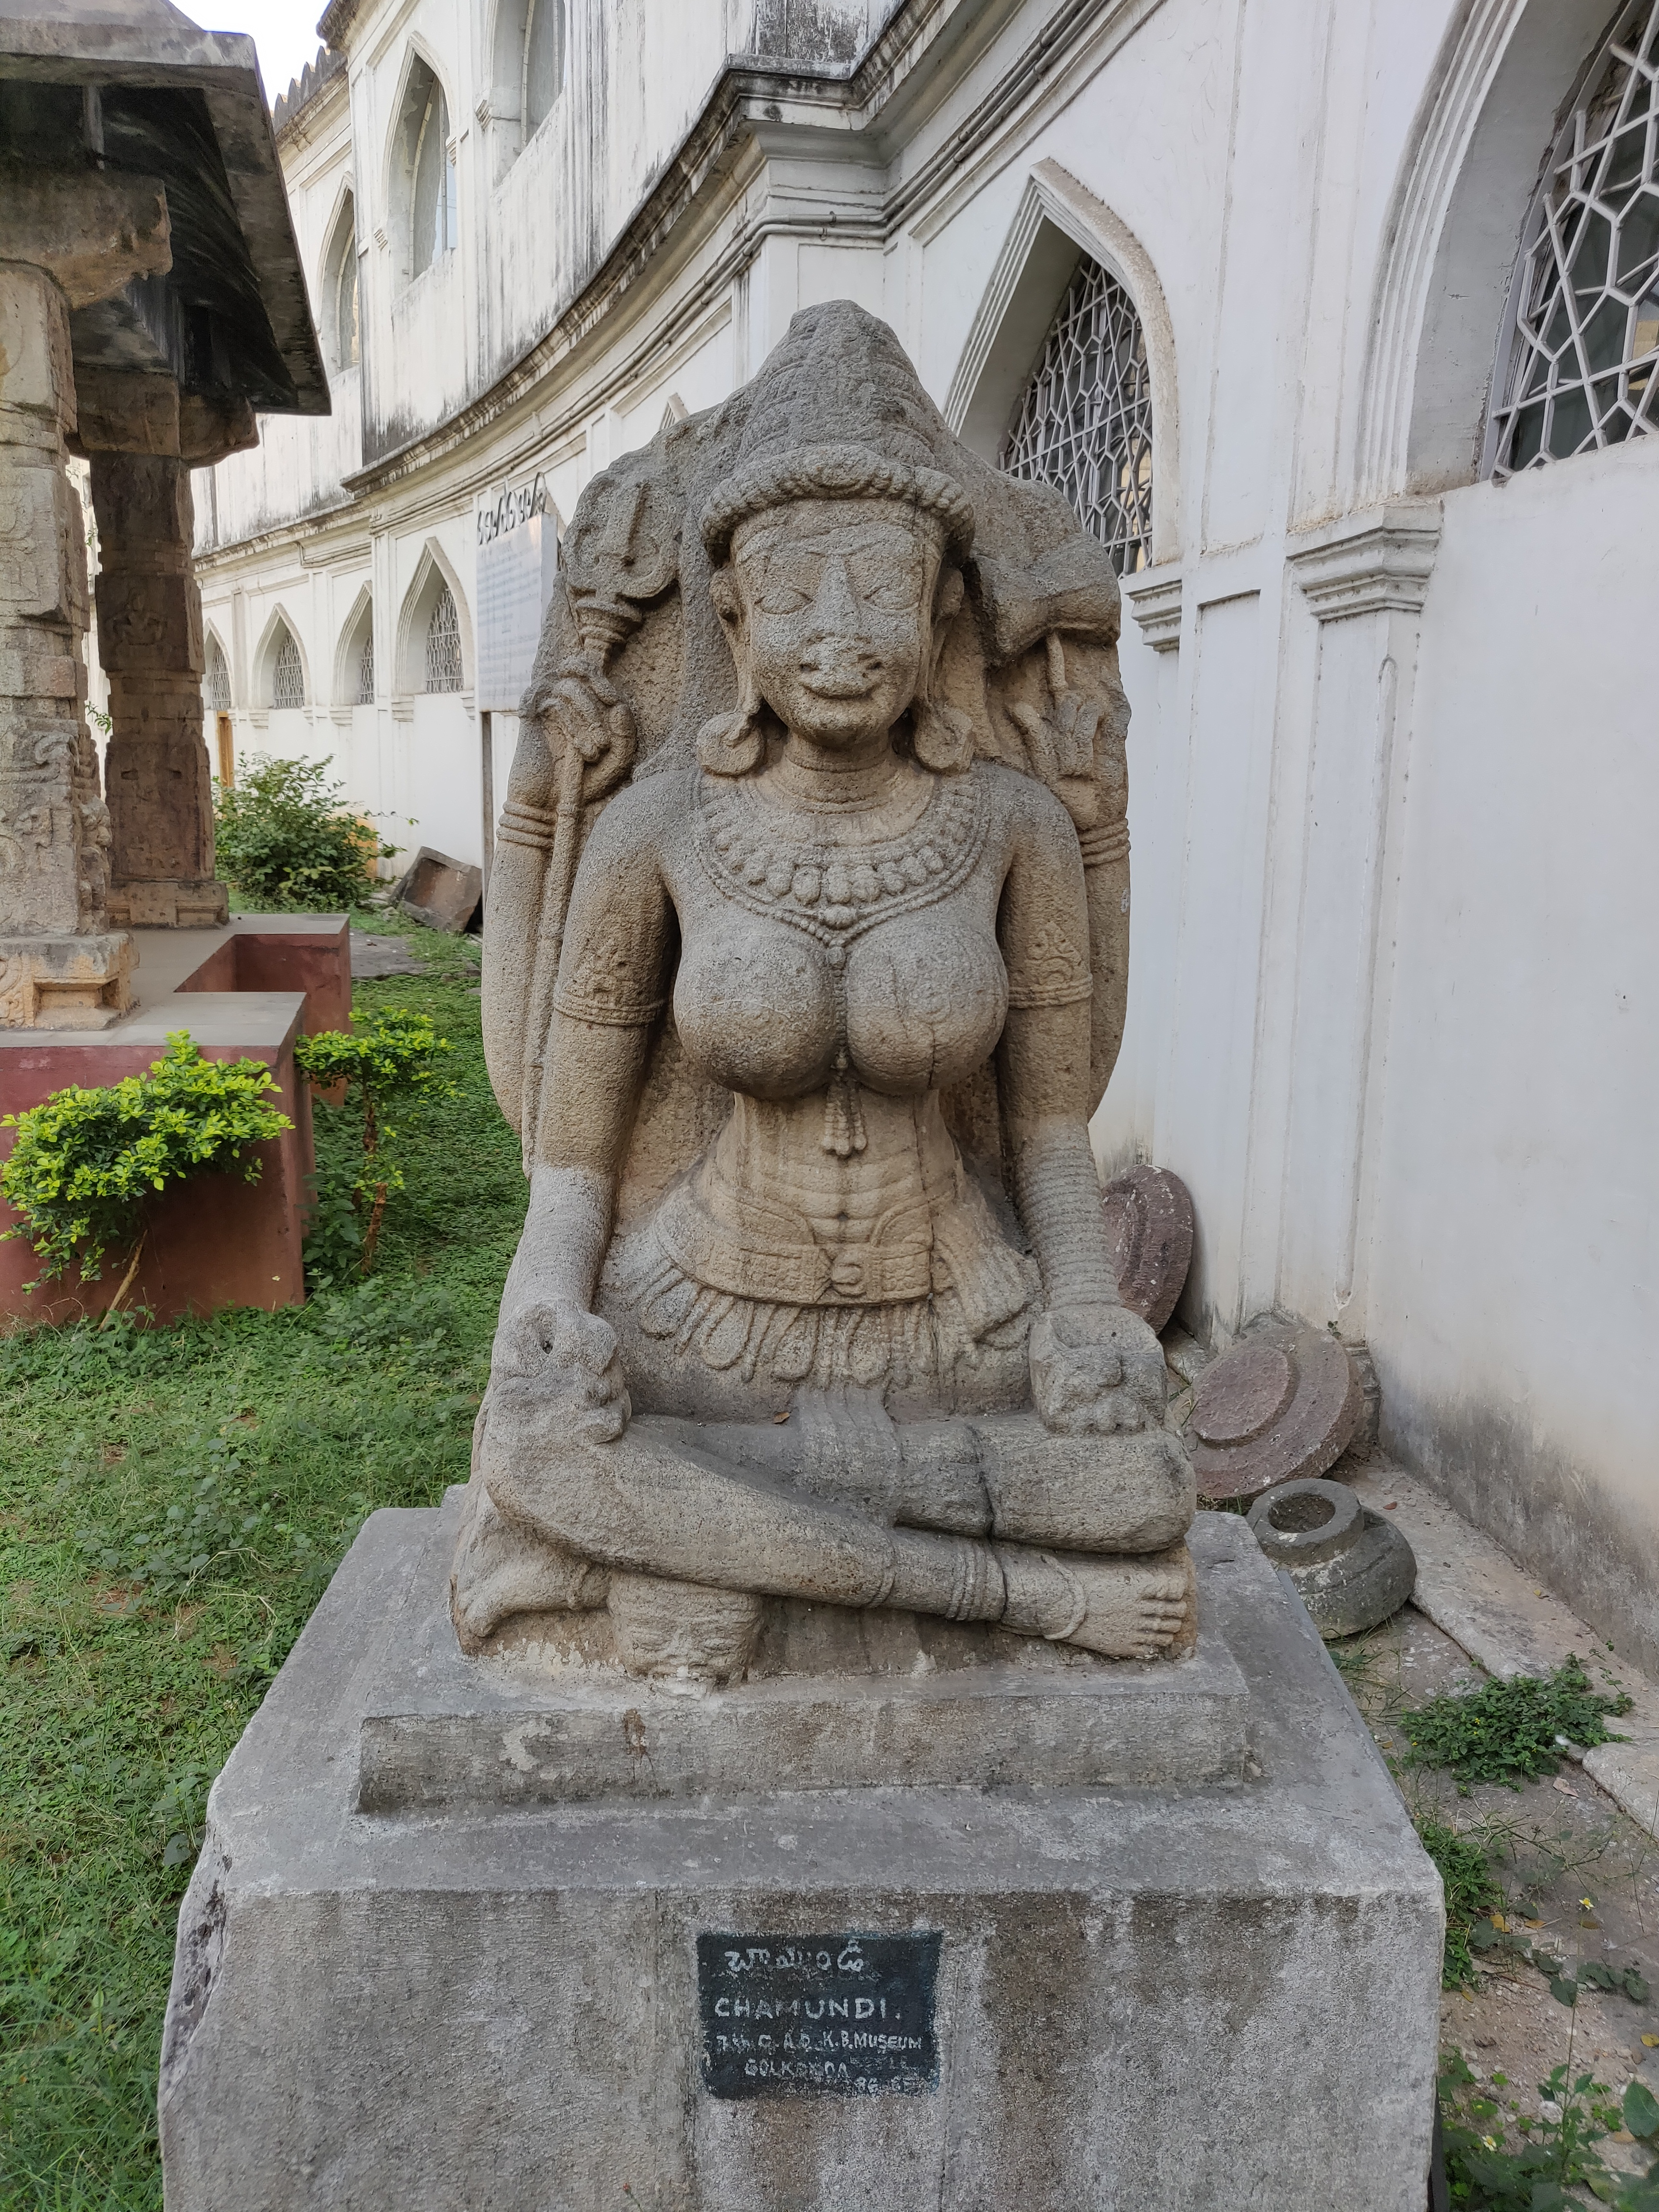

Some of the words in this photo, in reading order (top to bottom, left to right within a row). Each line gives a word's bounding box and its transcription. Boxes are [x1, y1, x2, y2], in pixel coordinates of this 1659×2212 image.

[711, 1933, 868, 1978] చాముండి
[708, 1990, 888, 2024] CHAMUNDI
[835, 2024, 927, 2054] .B.MUSEUM
[739, 2053, 854, 2085] GOLCONDA